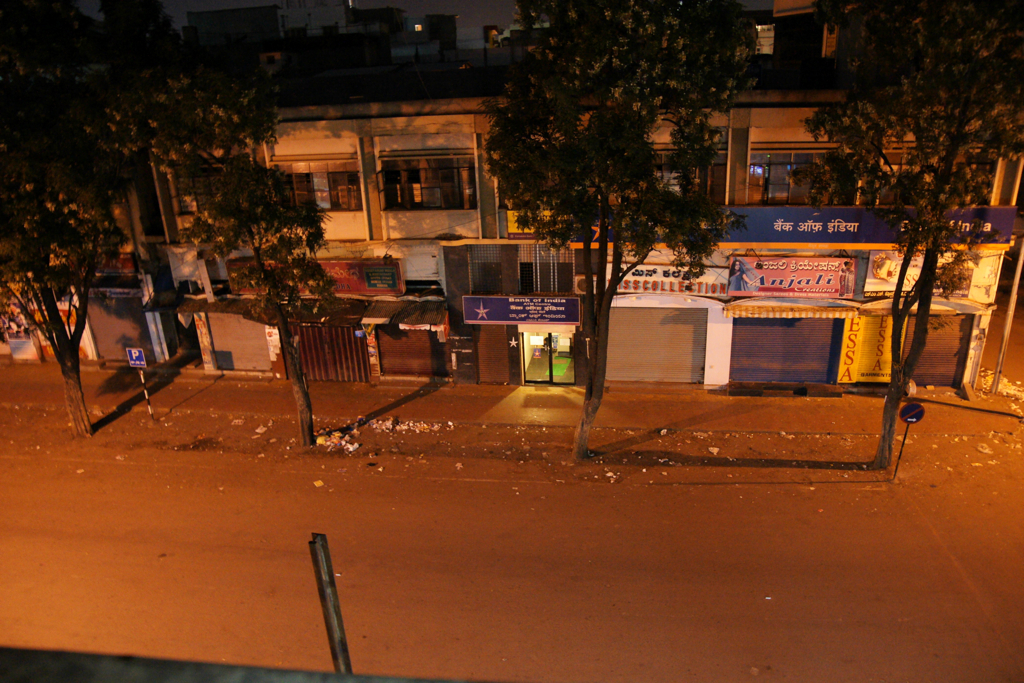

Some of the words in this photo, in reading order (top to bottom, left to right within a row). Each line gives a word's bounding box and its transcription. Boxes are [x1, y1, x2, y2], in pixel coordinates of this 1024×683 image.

[767, 213, 798, 242] बैंक
[787, 212, 827, 240] ऑफ़
[821, 214, 862, 240] इंडिया
[505, 292, 533, 307] Bank
[525, 295, 545, 307] OF
[540, 293, 570, 307] India
[624, 265, 663, 281] ಮಸ್
[607, 277, 730, 301] SSCOLLECTION
[750, 251, 792, 276] ಉಜಲಿ
[744, 269, 840, 291] Anjali
[785, 256, 843, 276] ಕ್ರಿಯೇಷನ್